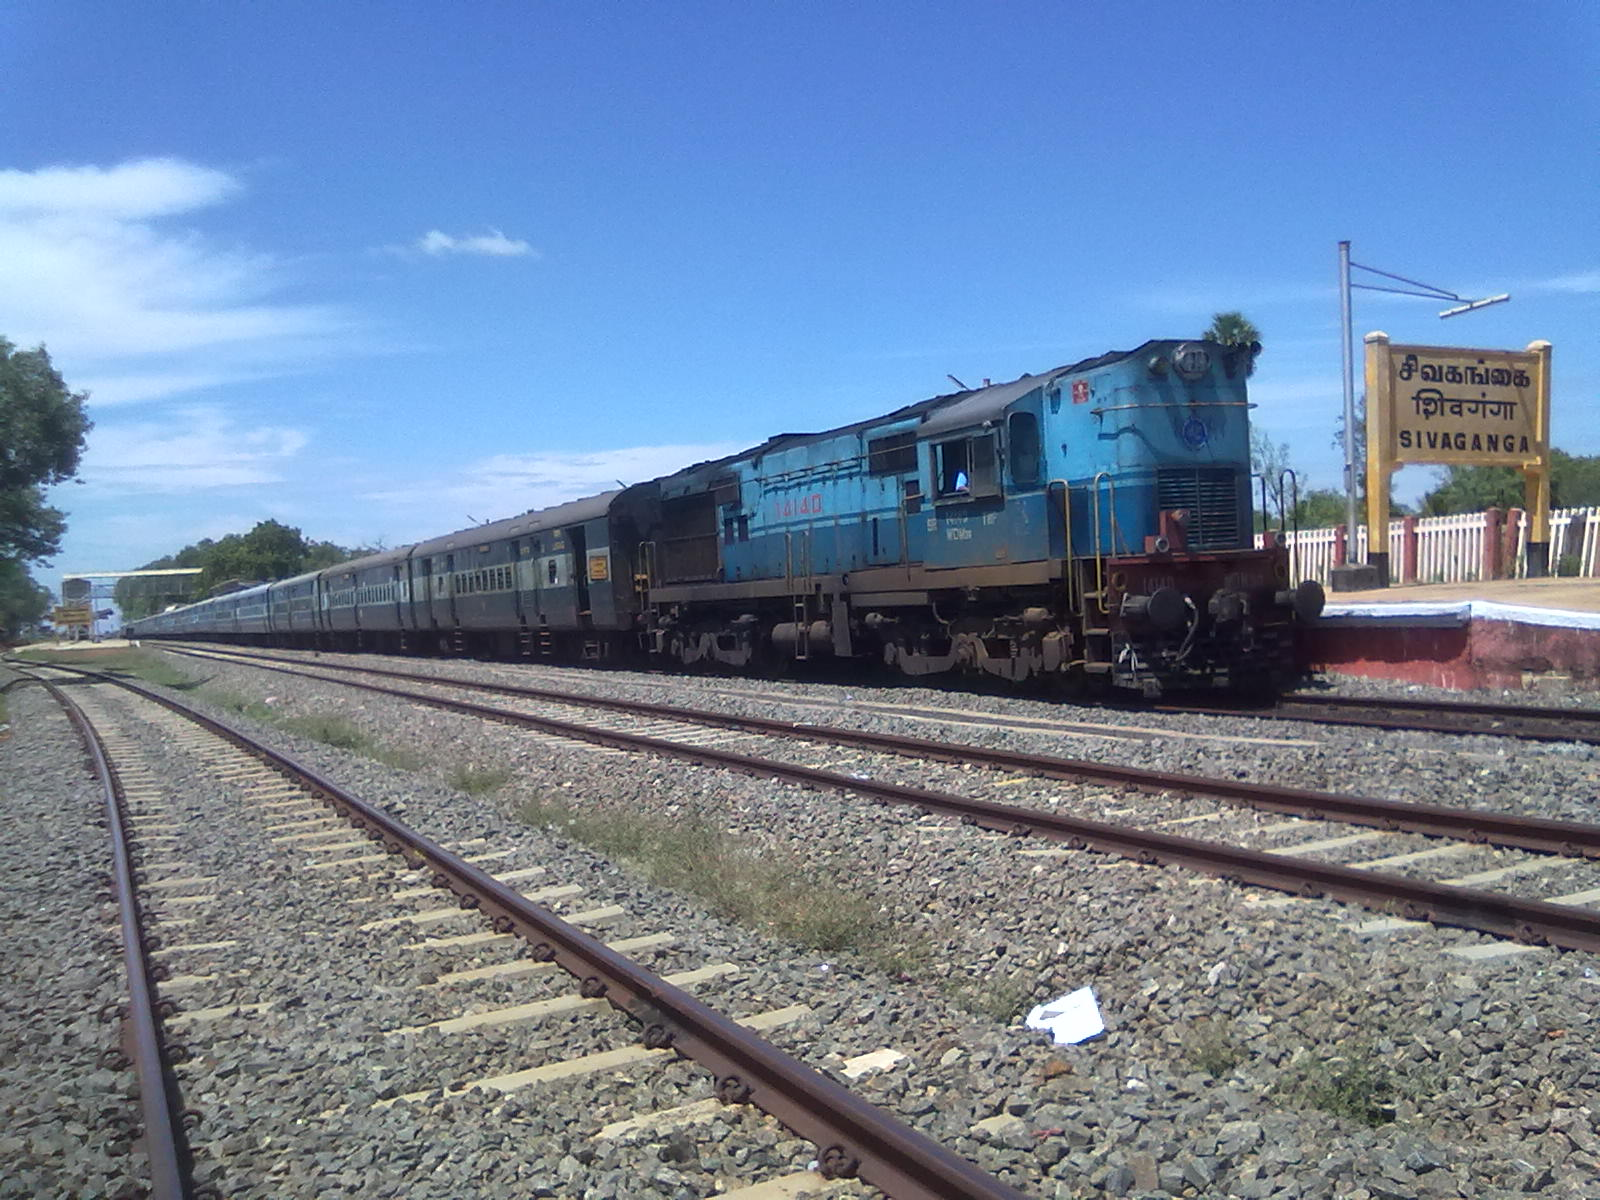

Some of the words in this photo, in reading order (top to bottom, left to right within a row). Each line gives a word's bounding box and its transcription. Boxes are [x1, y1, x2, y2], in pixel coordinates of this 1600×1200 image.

[1392, 345, 1532, 390] சிவகங்கை
[1403, 378, 1519, 423] शिवगंगा
[1395, 423, 1531, 459] SIVAGANGA